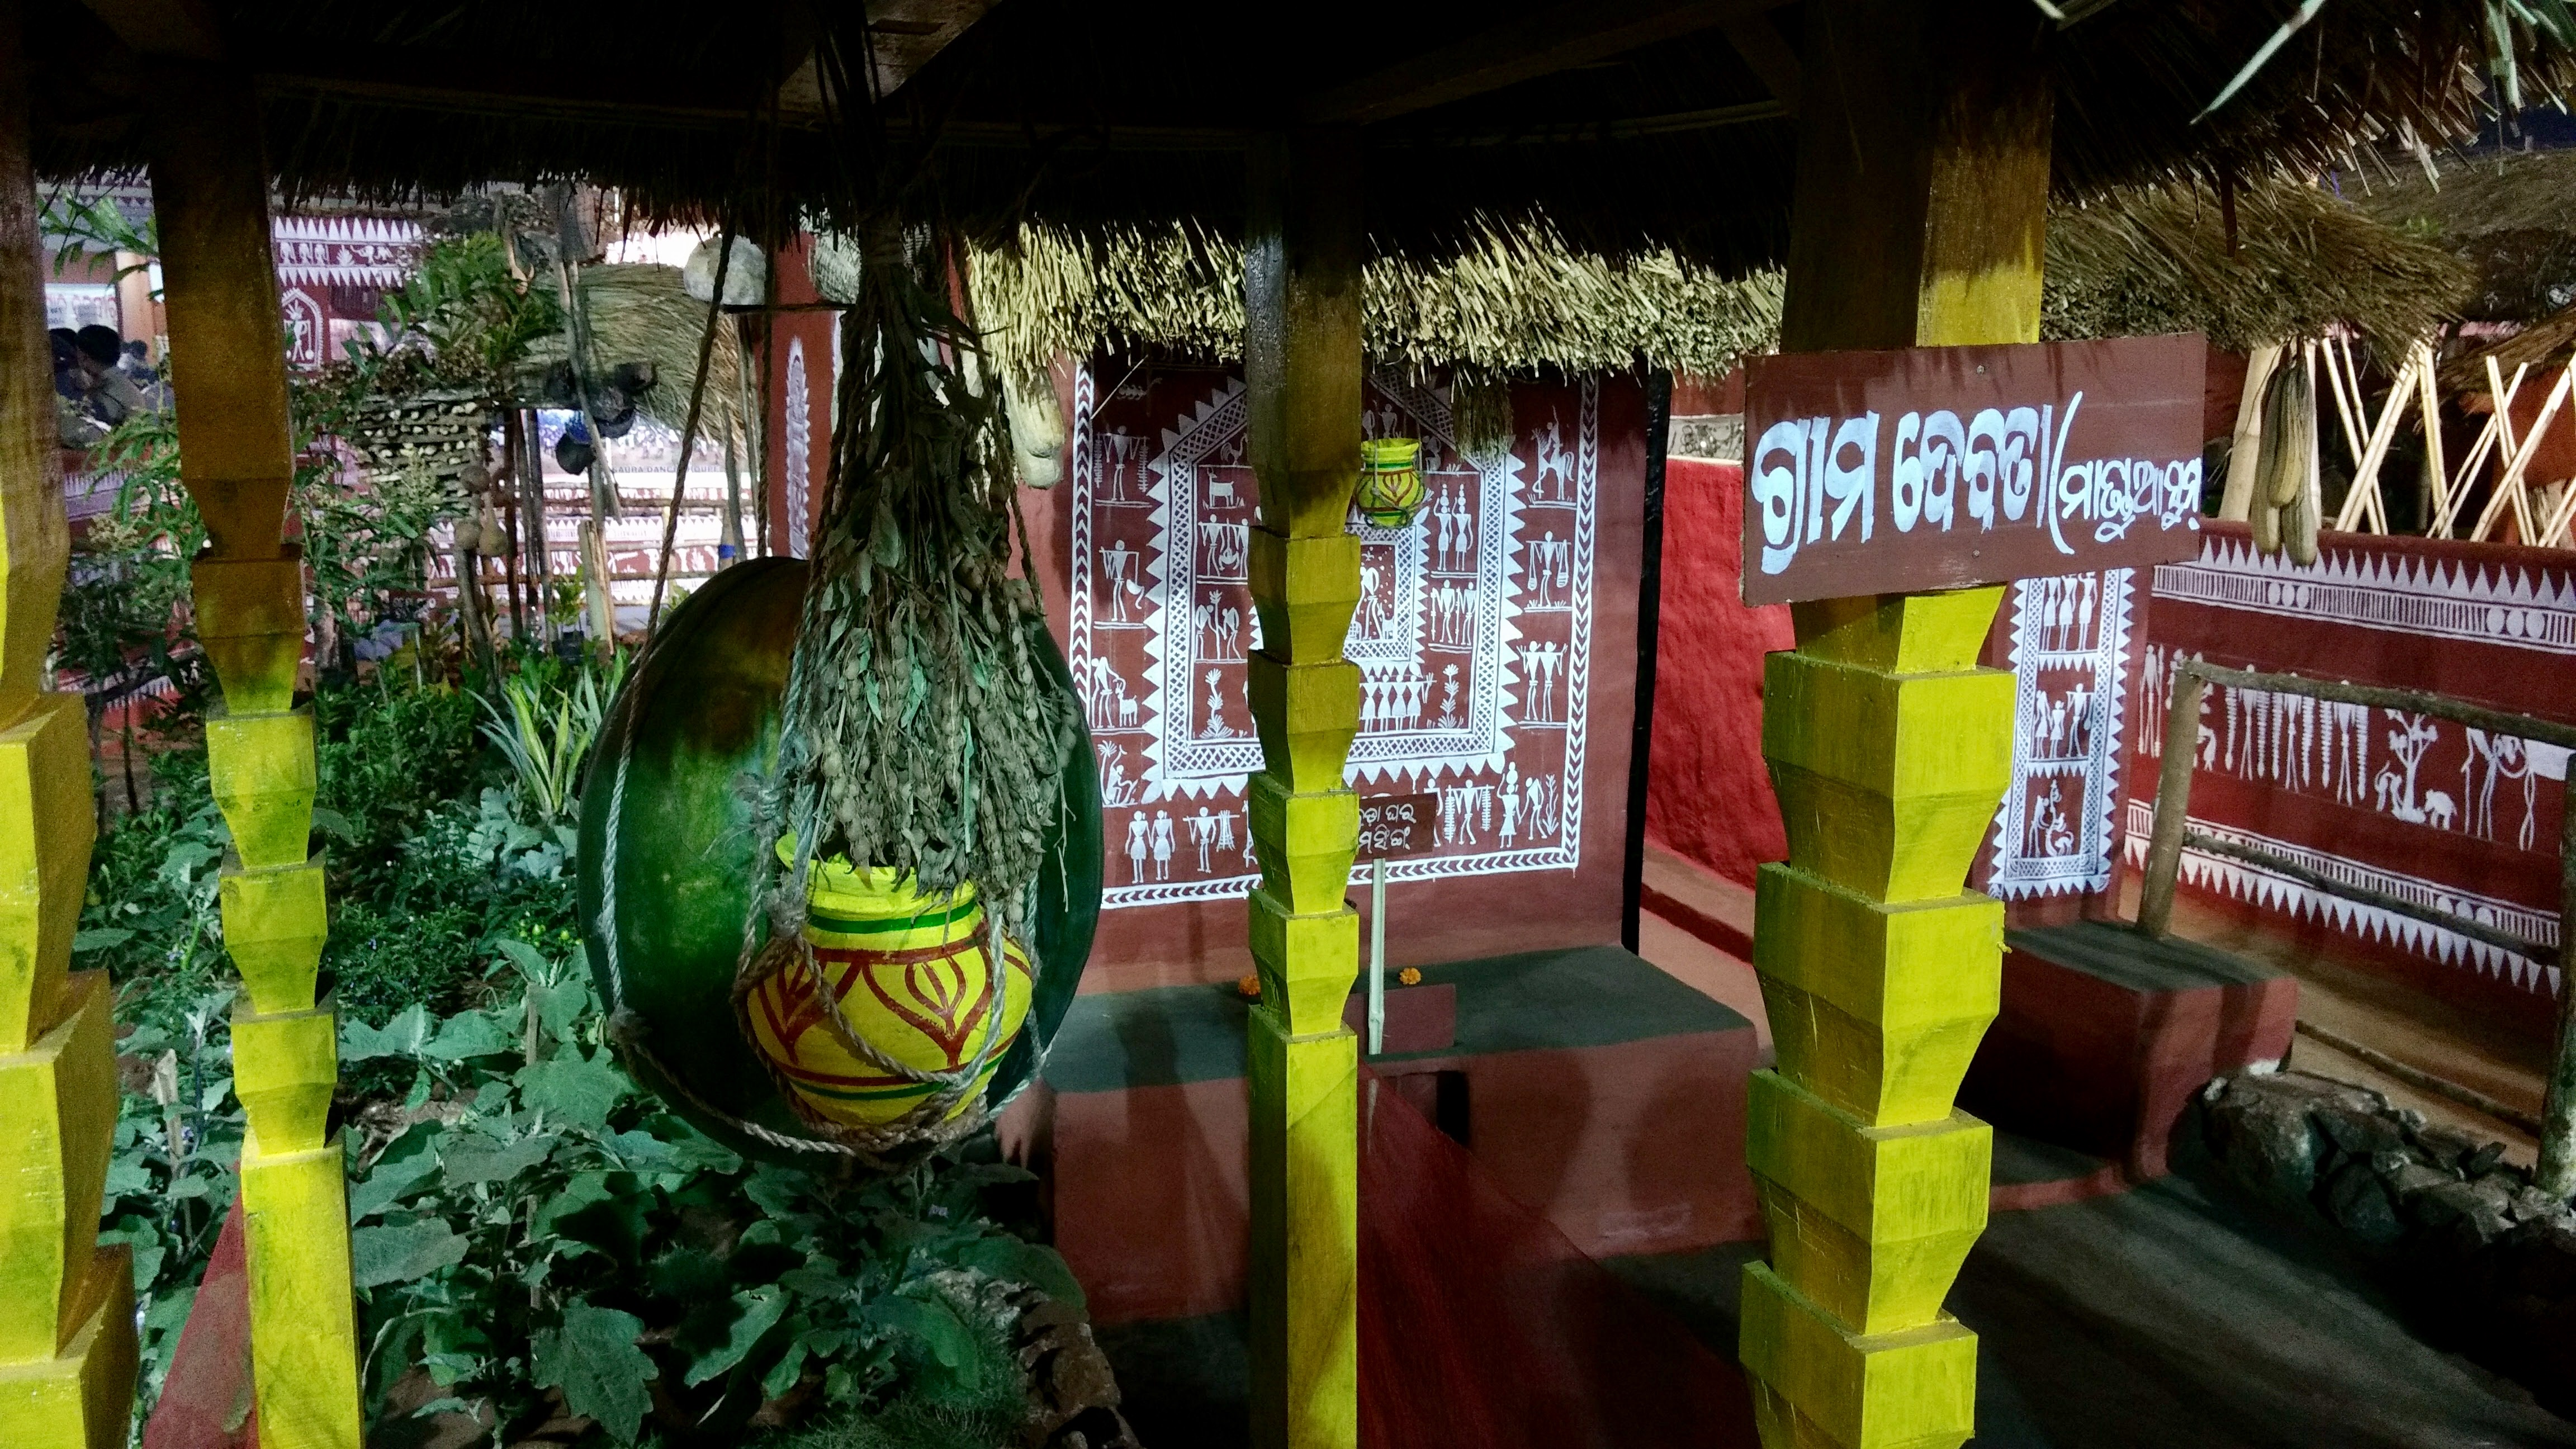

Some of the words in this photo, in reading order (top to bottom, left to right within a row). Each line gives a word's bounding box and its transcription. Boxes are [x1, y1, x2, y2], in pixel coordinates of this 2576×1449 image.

[1746, 406, 1882, 579] ଗ୍ରାମ
[1889, 387, 2083, 557] ଦେଚଣ(